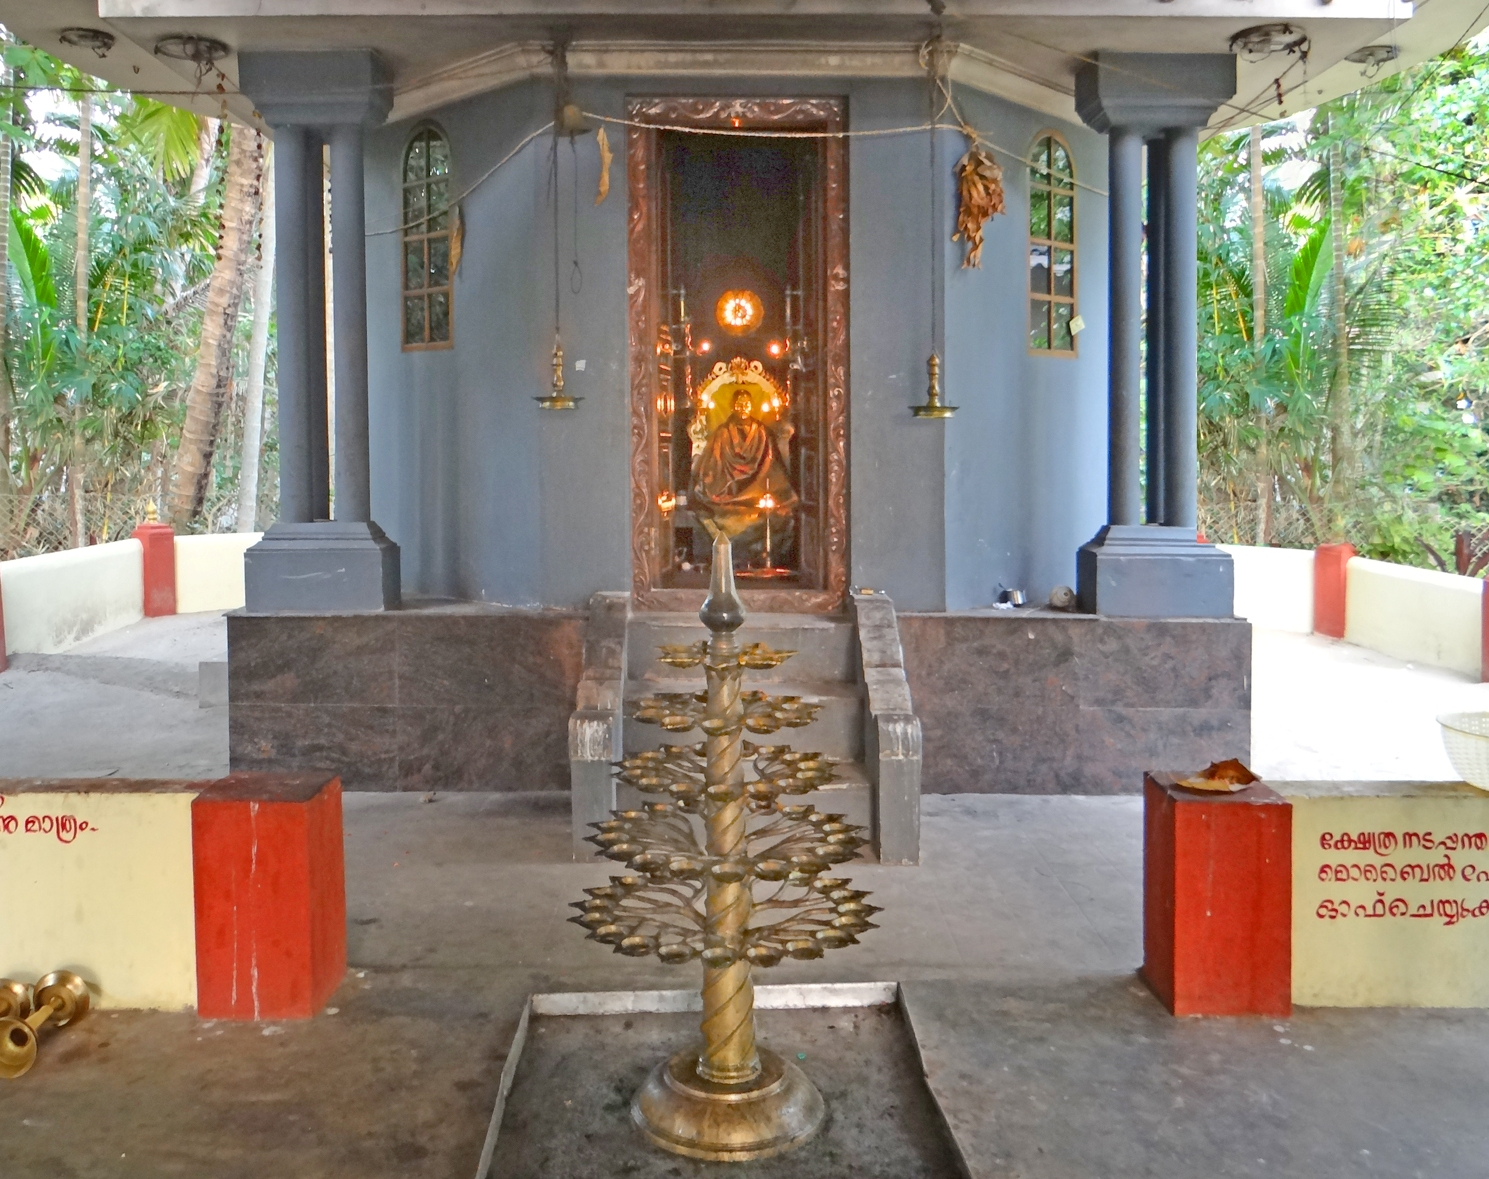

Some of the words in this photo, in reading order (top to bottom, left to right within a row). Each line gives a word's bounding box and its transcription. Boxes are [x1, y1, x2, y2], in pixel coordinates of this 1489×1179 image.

[19, 805, 99, 847] മാത്രം
[1316, 824, 1403, 859] ക്ഷേത്ര
[1401, 825, 1488, 855] നടപ്പന്ത
[1314, 851, 1460, 885] മൊബൈൽ
[1307, 881, 1486, 929] ഓഫ് ചെയ്യടക